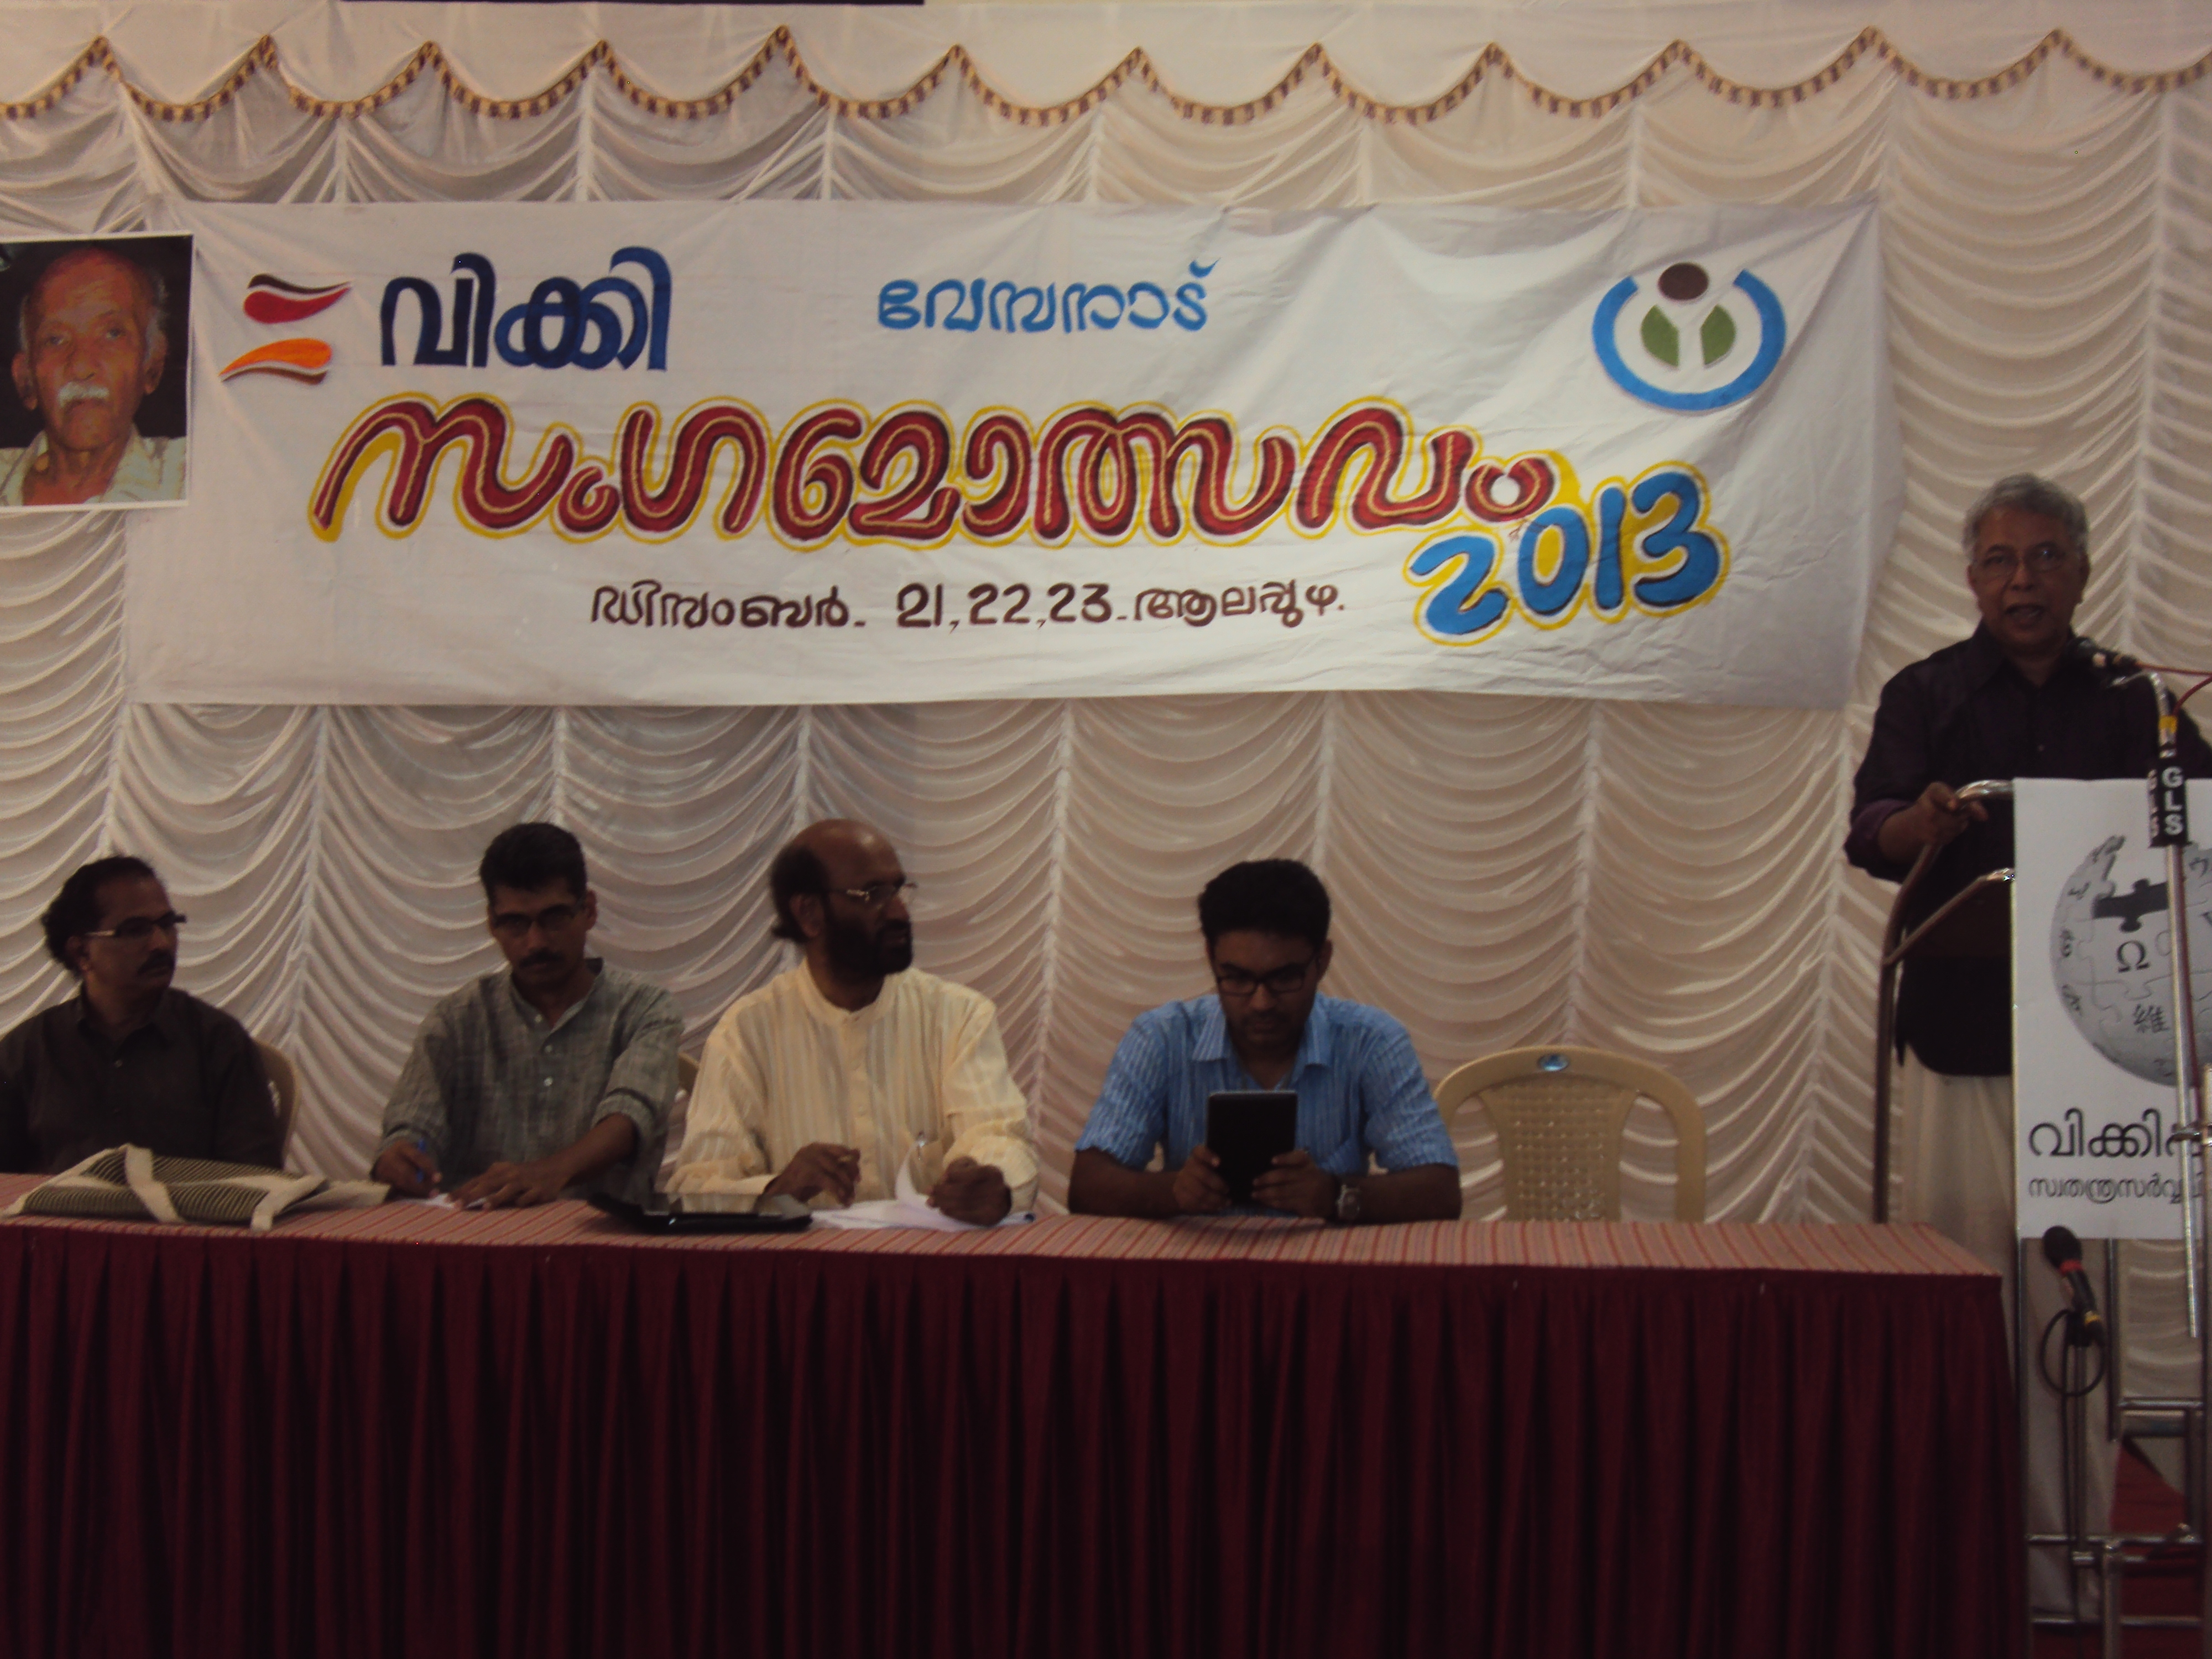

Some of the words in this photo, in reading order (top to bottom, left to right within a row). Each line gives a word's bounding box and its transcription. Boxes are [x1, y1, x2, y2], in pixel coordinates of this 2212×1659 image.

[375, 240, 676, 379] വിക്കി
[876, 255, 1222, 334] ഭവമ്പനാട്
[298, 388, 1564, 554] സംഗമോത്സവം
[1395, 453, 1740, 666] 2013
[584, 572, 862, 639] ഡിസംബർ
[889, 577, 1119, 637] 21,22,23
[1129, 571, 1353, 637] ആലപ്പുഴ.
[2028, 1104, 2189, 1161] വിക്കി
[2012, 1166, 2201, 1209] സ്വതന്ത്രസർവ്വ